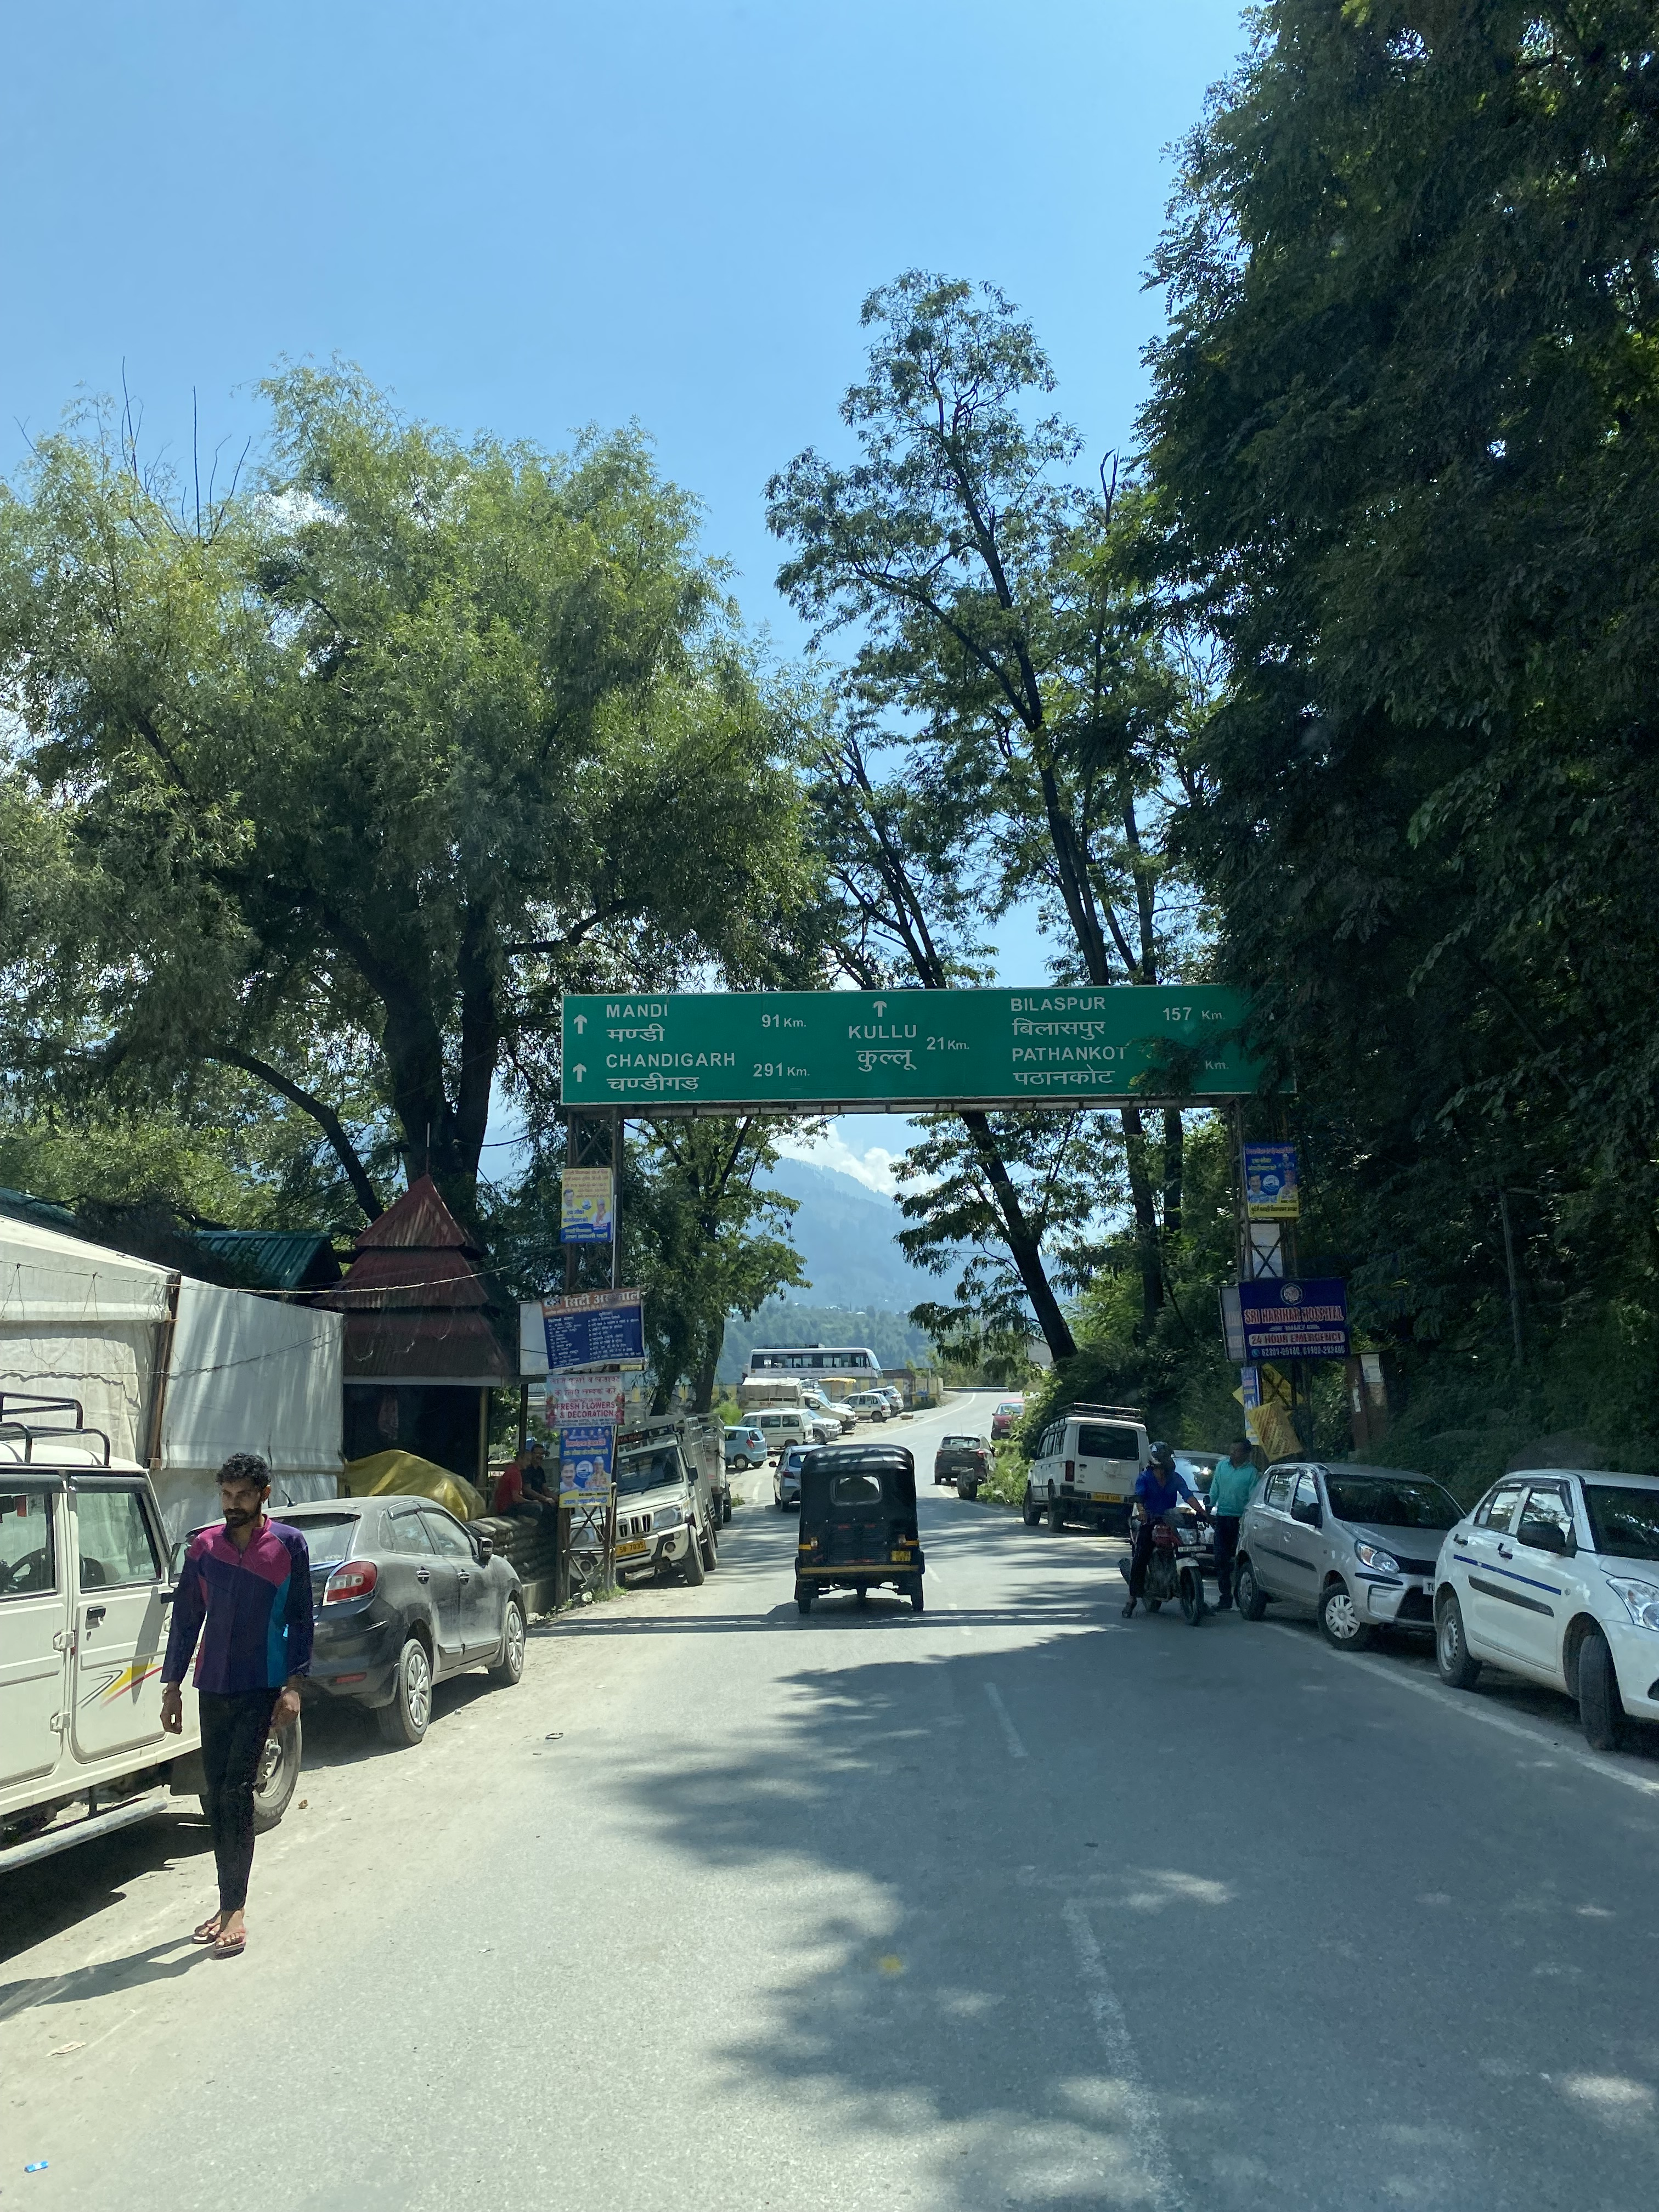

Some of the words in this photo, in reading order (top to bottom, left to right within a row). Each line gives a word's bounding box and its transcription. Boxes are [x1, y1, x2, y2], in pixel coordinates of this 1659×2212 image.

[601, 998, 669, 1019] MANDI
[604, 1020, 669, 1046] मण्डी
[604, 1069, 701, 1095] चण्डीगड़
[602, 1048, 737, 1070] CHANDIGARH
[749, 1058, 785, 1080] 291
[760, 1009, 781, 1029] 91
[782, 1014, 806, 1032] Km.
[786, 1062, 809, 1081] Km
[845, 1019, 918, 1042] KULLU
[853, 1047, 918, 1075] कुल्लू
[921, 1034, 968, 1054] 21km
[1008, 992, 1107, 1013] BILASPUR
[1008, 1015, 1109, 1045] बिलासपुर
[1011, 1059, 1119, 1088] पठानकोट
[1010, 1043, 1126, 1065] PATHANKOT
[559, 1288, 592, 1310] सिटी
[594, 1285, 643, 1305] अझवाले